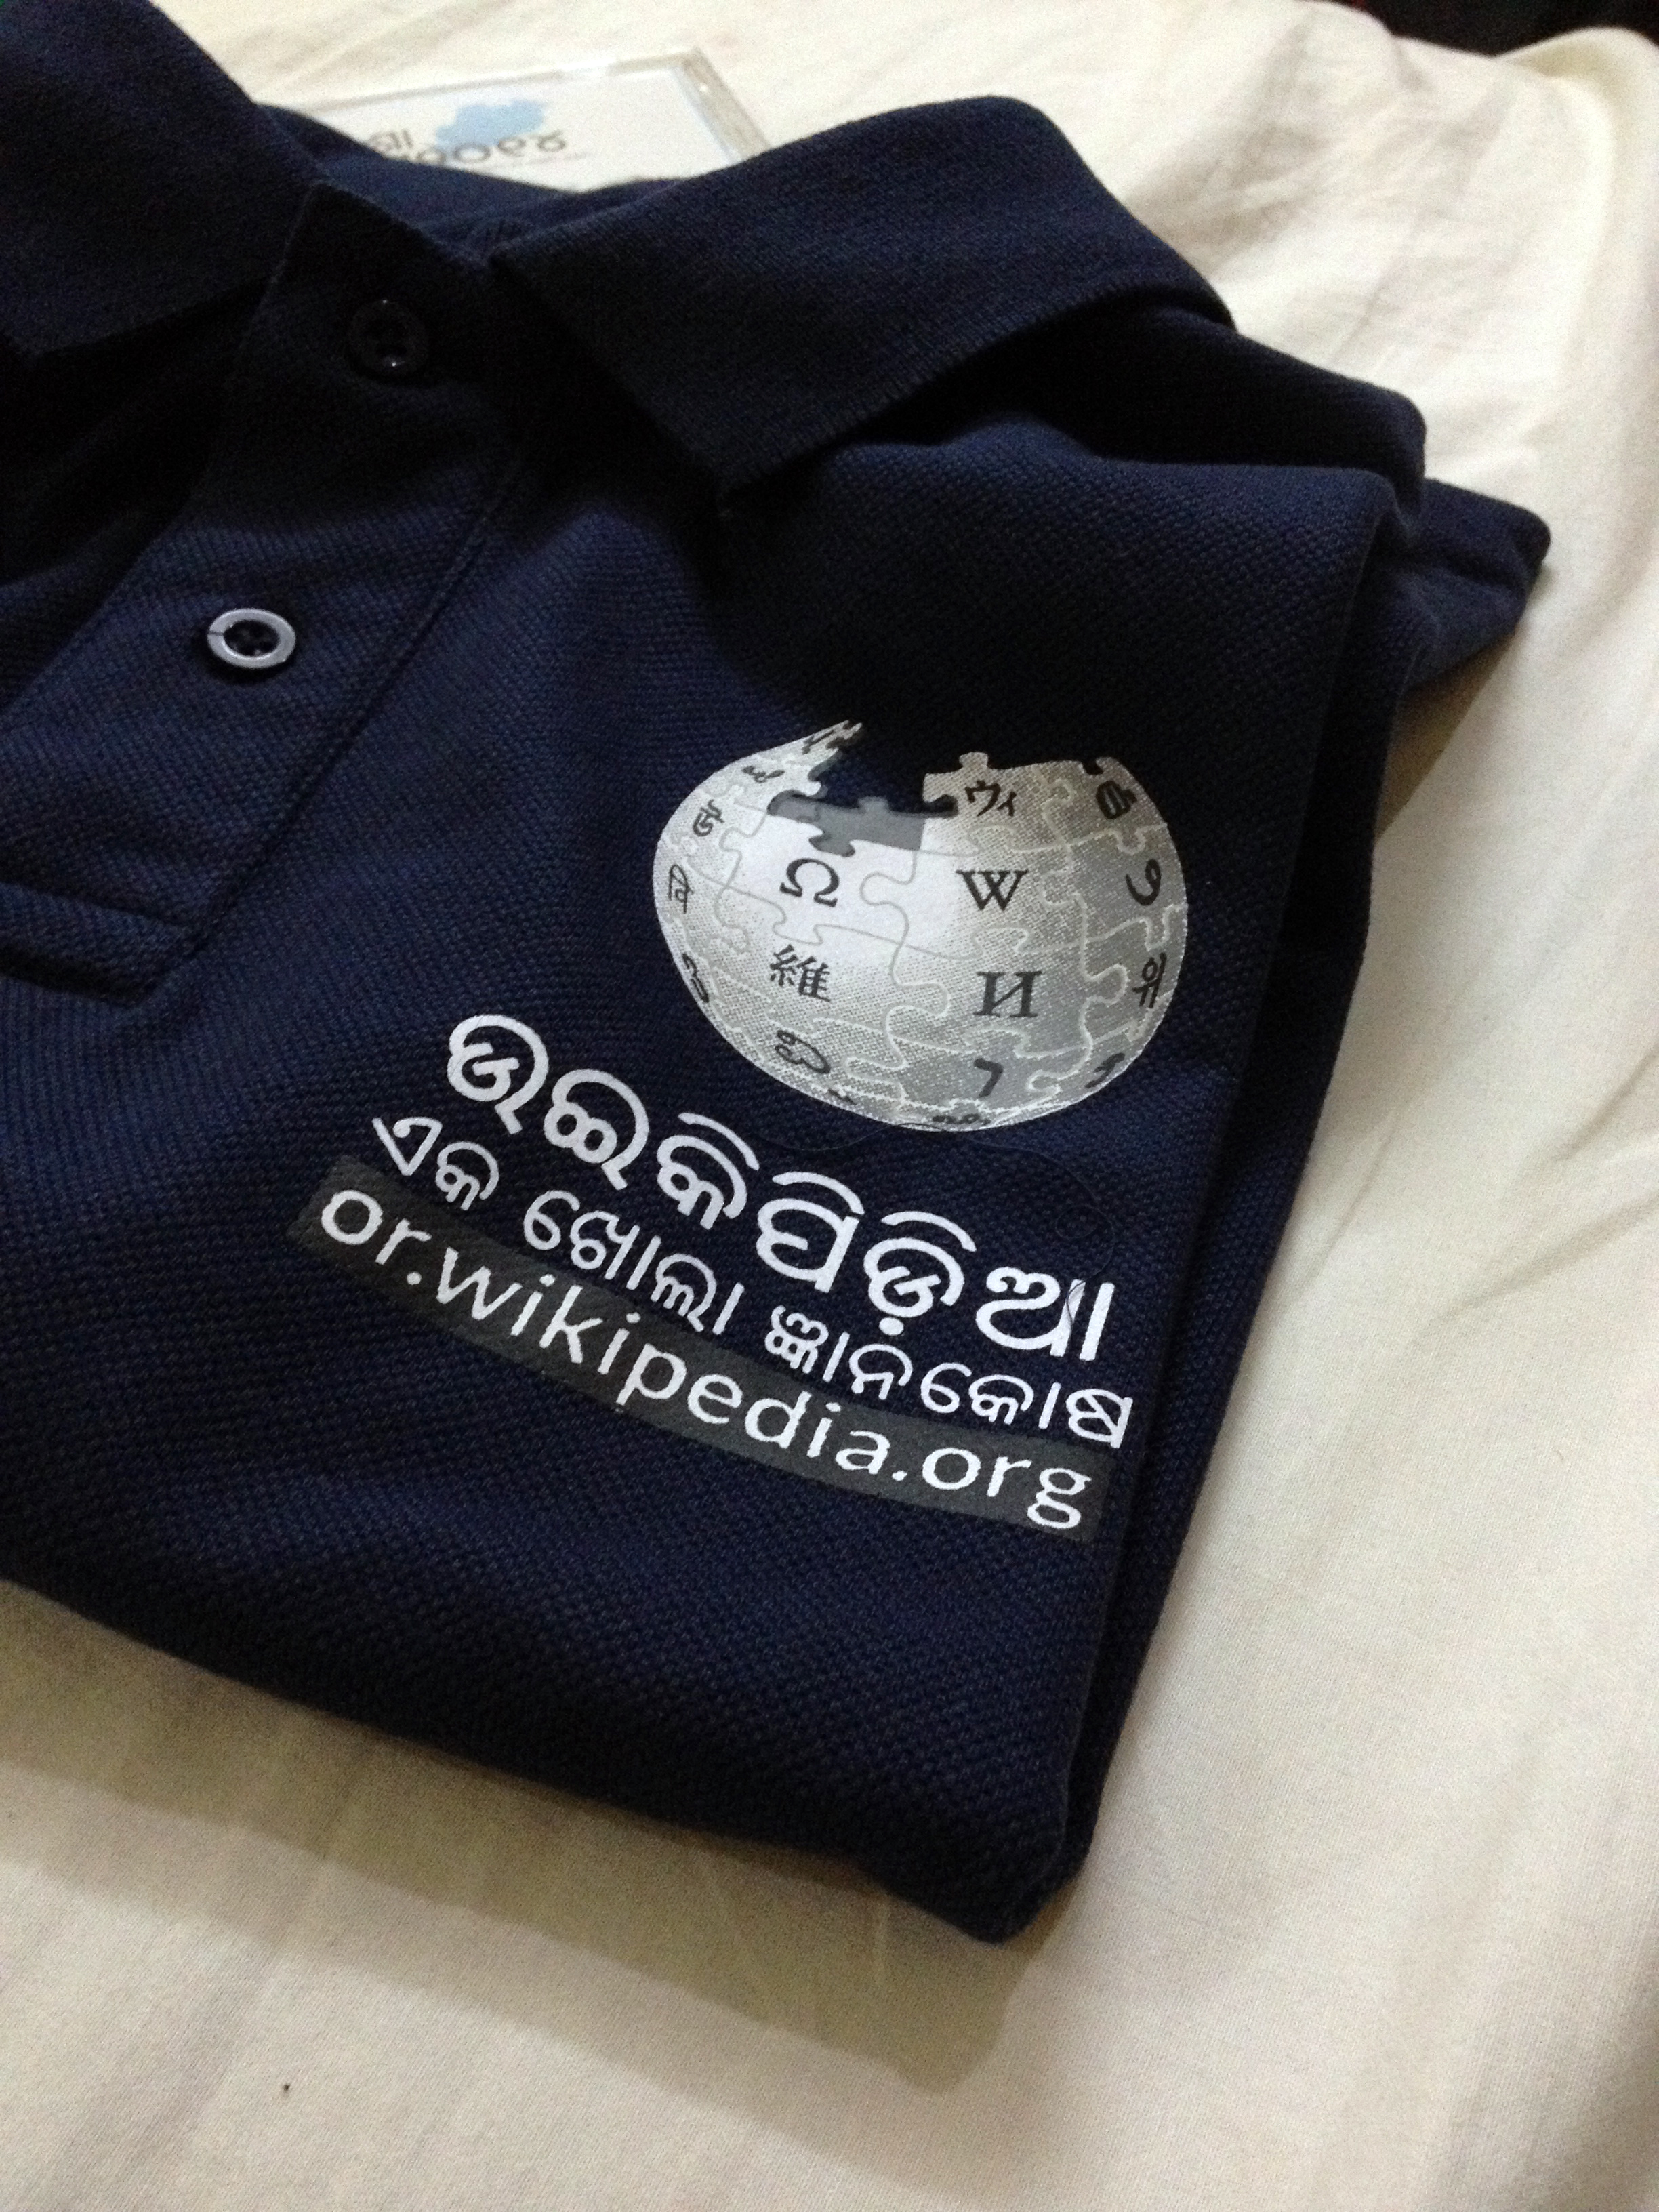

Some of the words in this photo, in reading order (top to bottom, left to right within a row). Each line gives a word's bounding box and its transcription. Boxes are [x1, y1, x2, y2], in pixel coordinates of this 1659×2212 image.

[686, 794, 731, 844] উ
[660, 859, 698, 918] वि
[315, 1181, 437, 1268] or
[361, 1095, 505, 1218] ଏକ
[523, 1182, 748, 1338] ଖୋଲା
[430, 1246, 896, 1479] wikipedia
[439, 1009, 983, 1341] ଉଇକିପିଡ଼ି
[758, 1301, 1136, 1455] ଜ୍ଞାନକୋଷ
[960, 1240, 1122, 1378] ଆ
[912, 1439, 1090, 1538] org